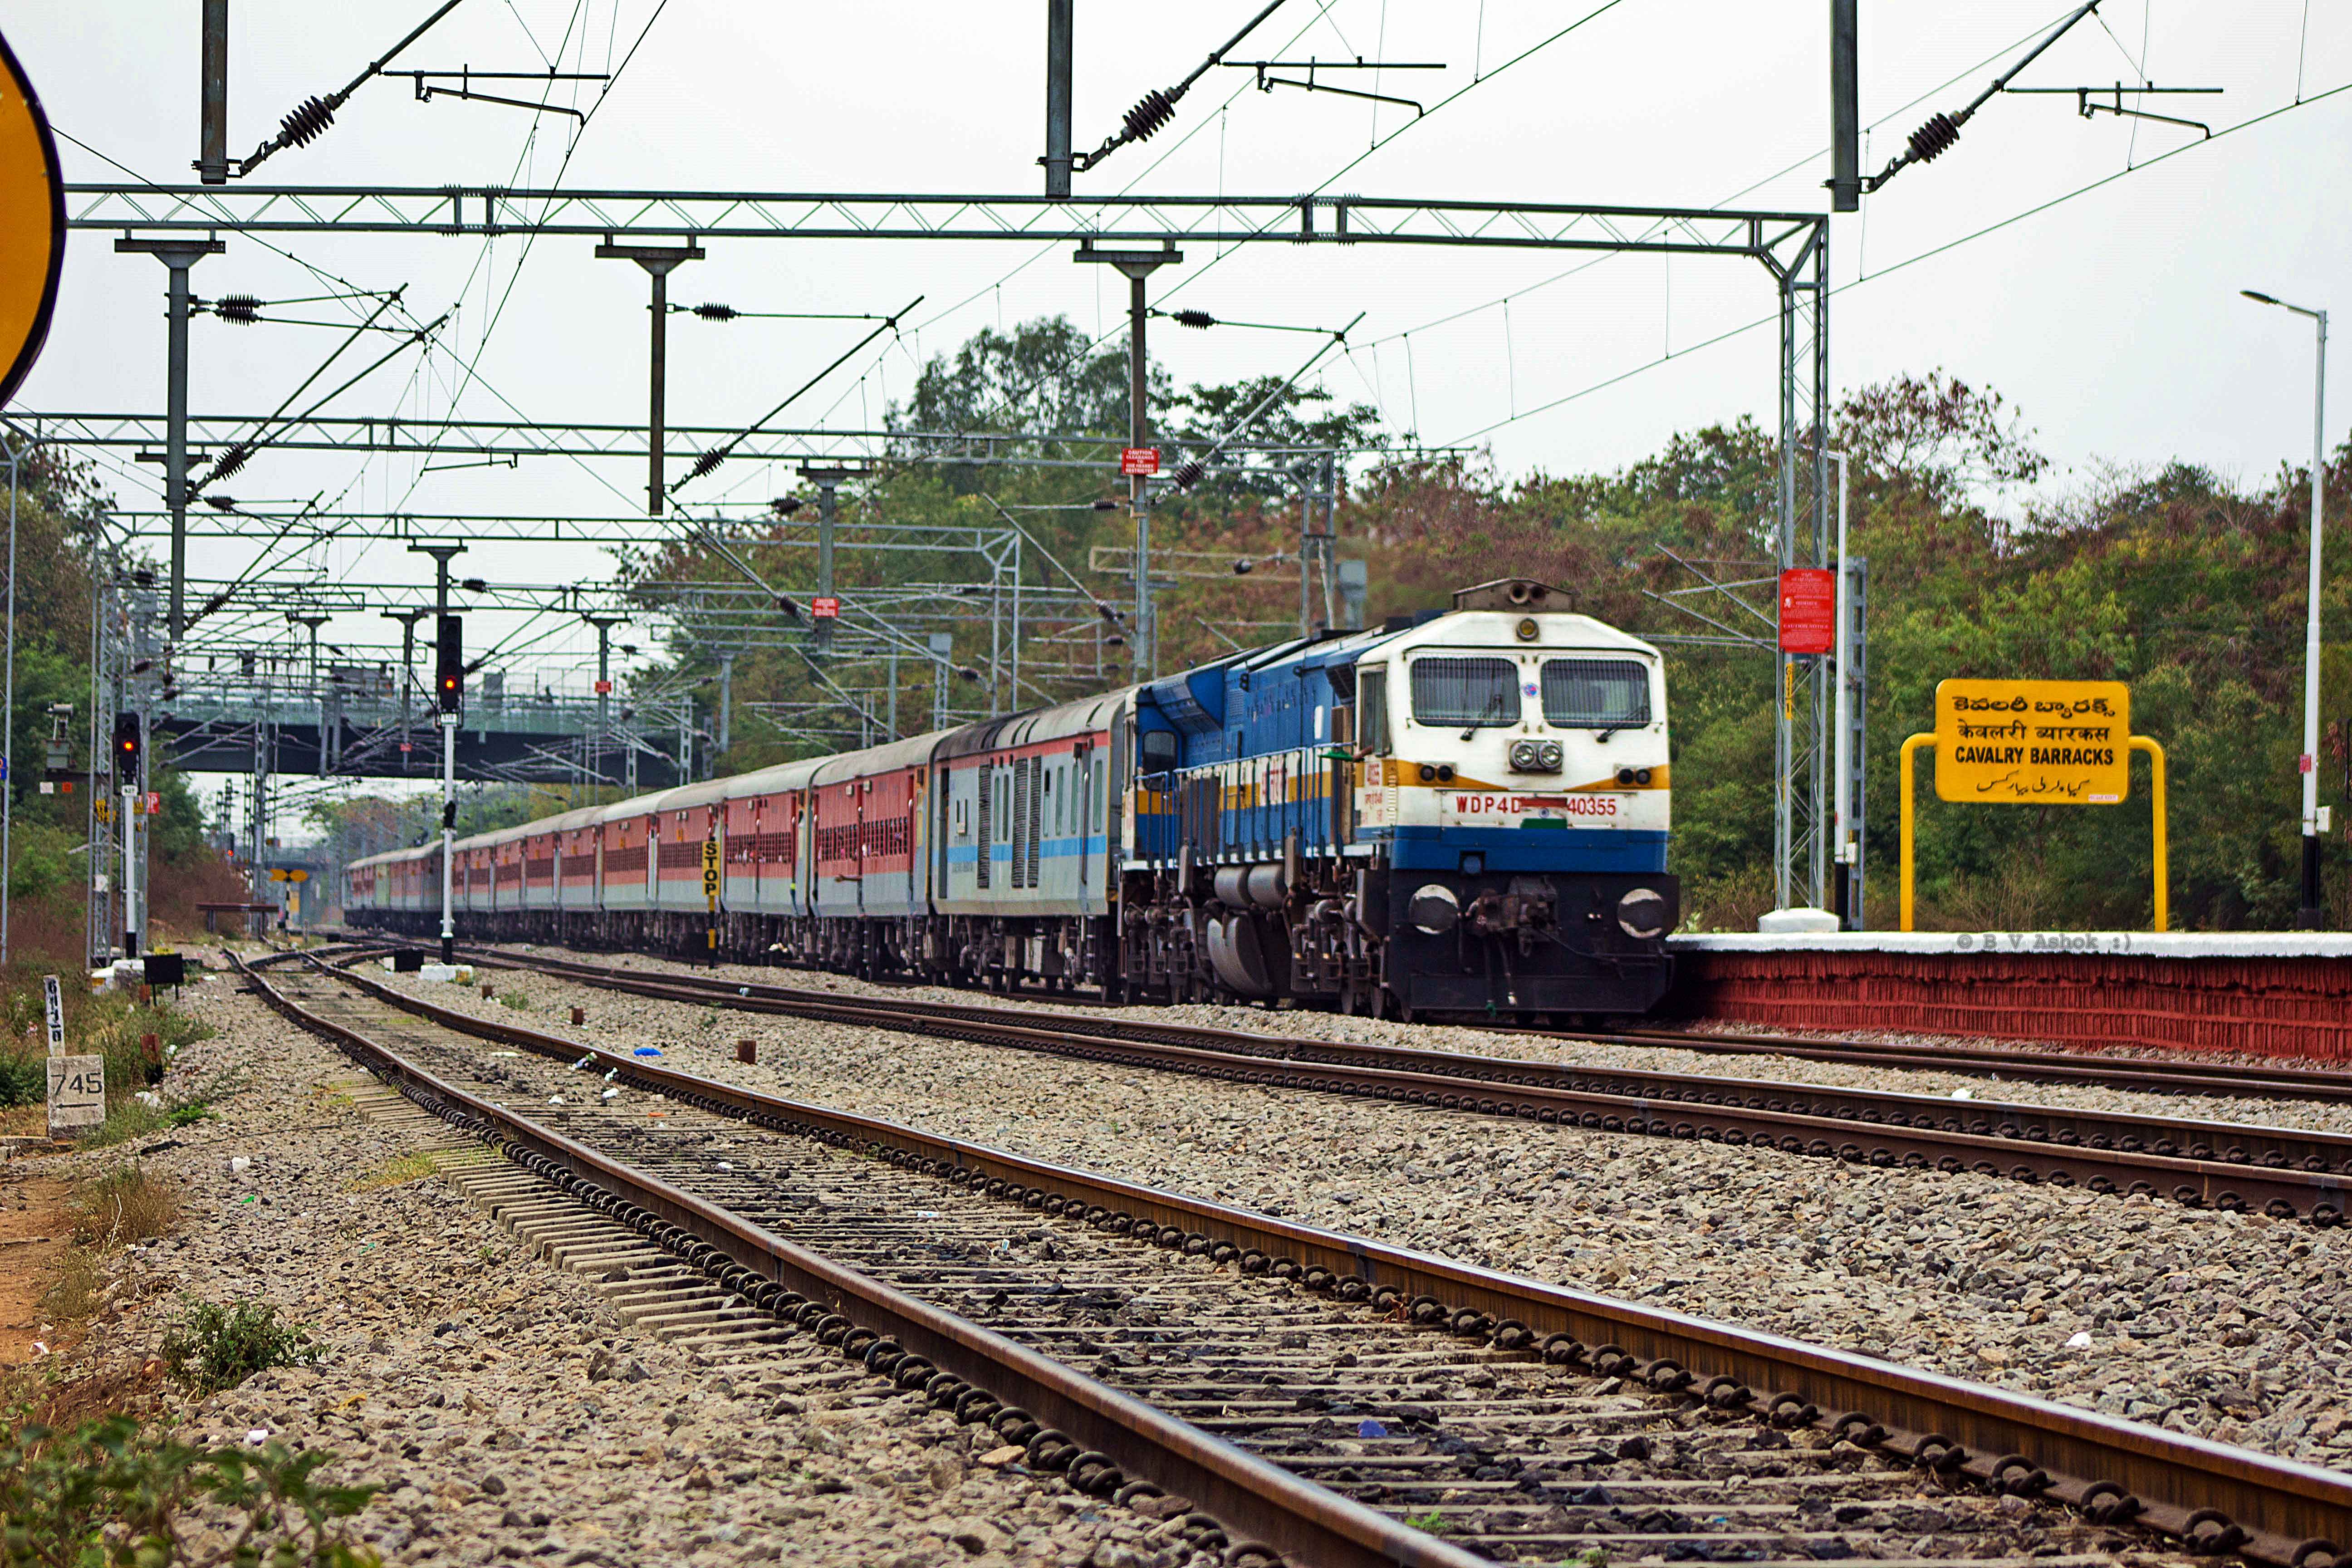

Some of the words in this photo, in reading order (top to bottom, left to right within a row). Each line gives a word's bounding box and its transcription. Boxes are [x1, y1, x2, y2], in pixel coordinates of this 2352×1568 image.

[1952, 692, 2030, 714] కెవలరీ
[2032, 693, 2118, 721] బ్యారక్స్
[1953, 714, 2028, 744] केवलरी
[2033, 724, 2111, 743] ब्यारकस
[1953, 742, 2024, 767] CAVALRY
[2029, 745, 2115, 769] BARRACKS
[1453, 795, 1525, 815] WDP4D
[1562, 793, 1618, 817] 40355